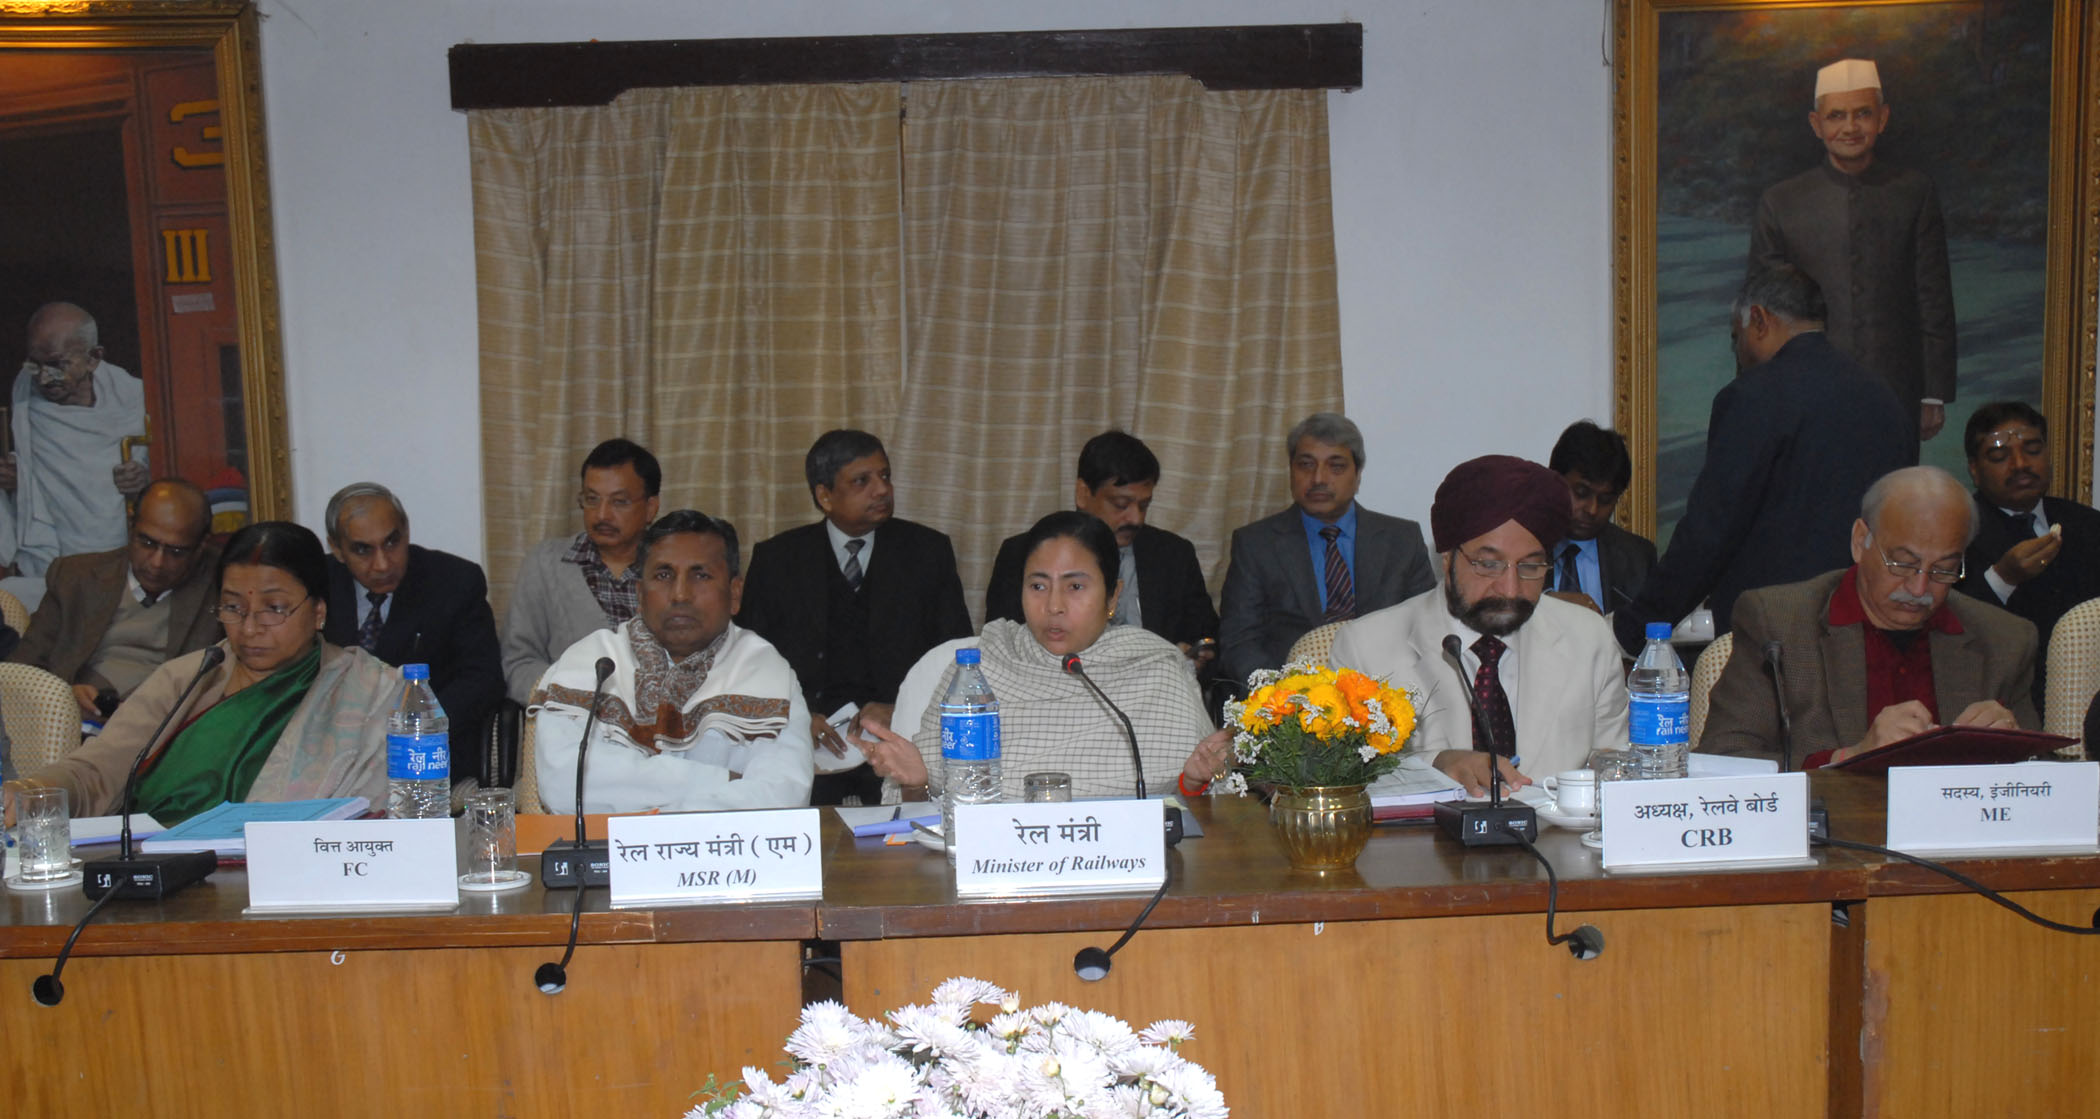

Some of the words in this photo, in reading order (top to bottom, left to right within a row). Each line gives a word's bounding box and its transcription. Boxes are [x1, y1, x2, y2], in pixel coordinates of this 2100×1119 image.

[396, 744, 431, 772] रेल rail
[424, 739, 450, 773] नीर
[1633, 799, 1693, 825] अध्यक्ष
[1692, 788, 1743, 819] रेलवे
[1738, 787, 1782, 817] बोर्ड
[1937, 783, 1984, 805] सदस्य
[1977, 803, 2012, 826] ।शाः
[1985, 776, 2056, 802] इंजीनियरी
[309, 833, 345, 859] वित्त
[340, 857, 373, 883] FC
[341, 836, 398, 862] आयुक्त
[605, 833, 654, 871] रेल
[652, 838, 703, 867] राज्य
[670, 869, 723, 893] MSR
[704, 827, 745, 861] मंत्री
[723, 866, 760, 892] (M)
[763, 831, 798, 865] एम
[969, 855, 1047, 877] Minister
[1003, 811, 1051, 850] रेल
[1040, 852, 1074, 882] of
[1052, 812, 1102, 852] मंत्री
[1067, 851, 1151, 878] Railways
[1679, 821, 1735, 854] CRB